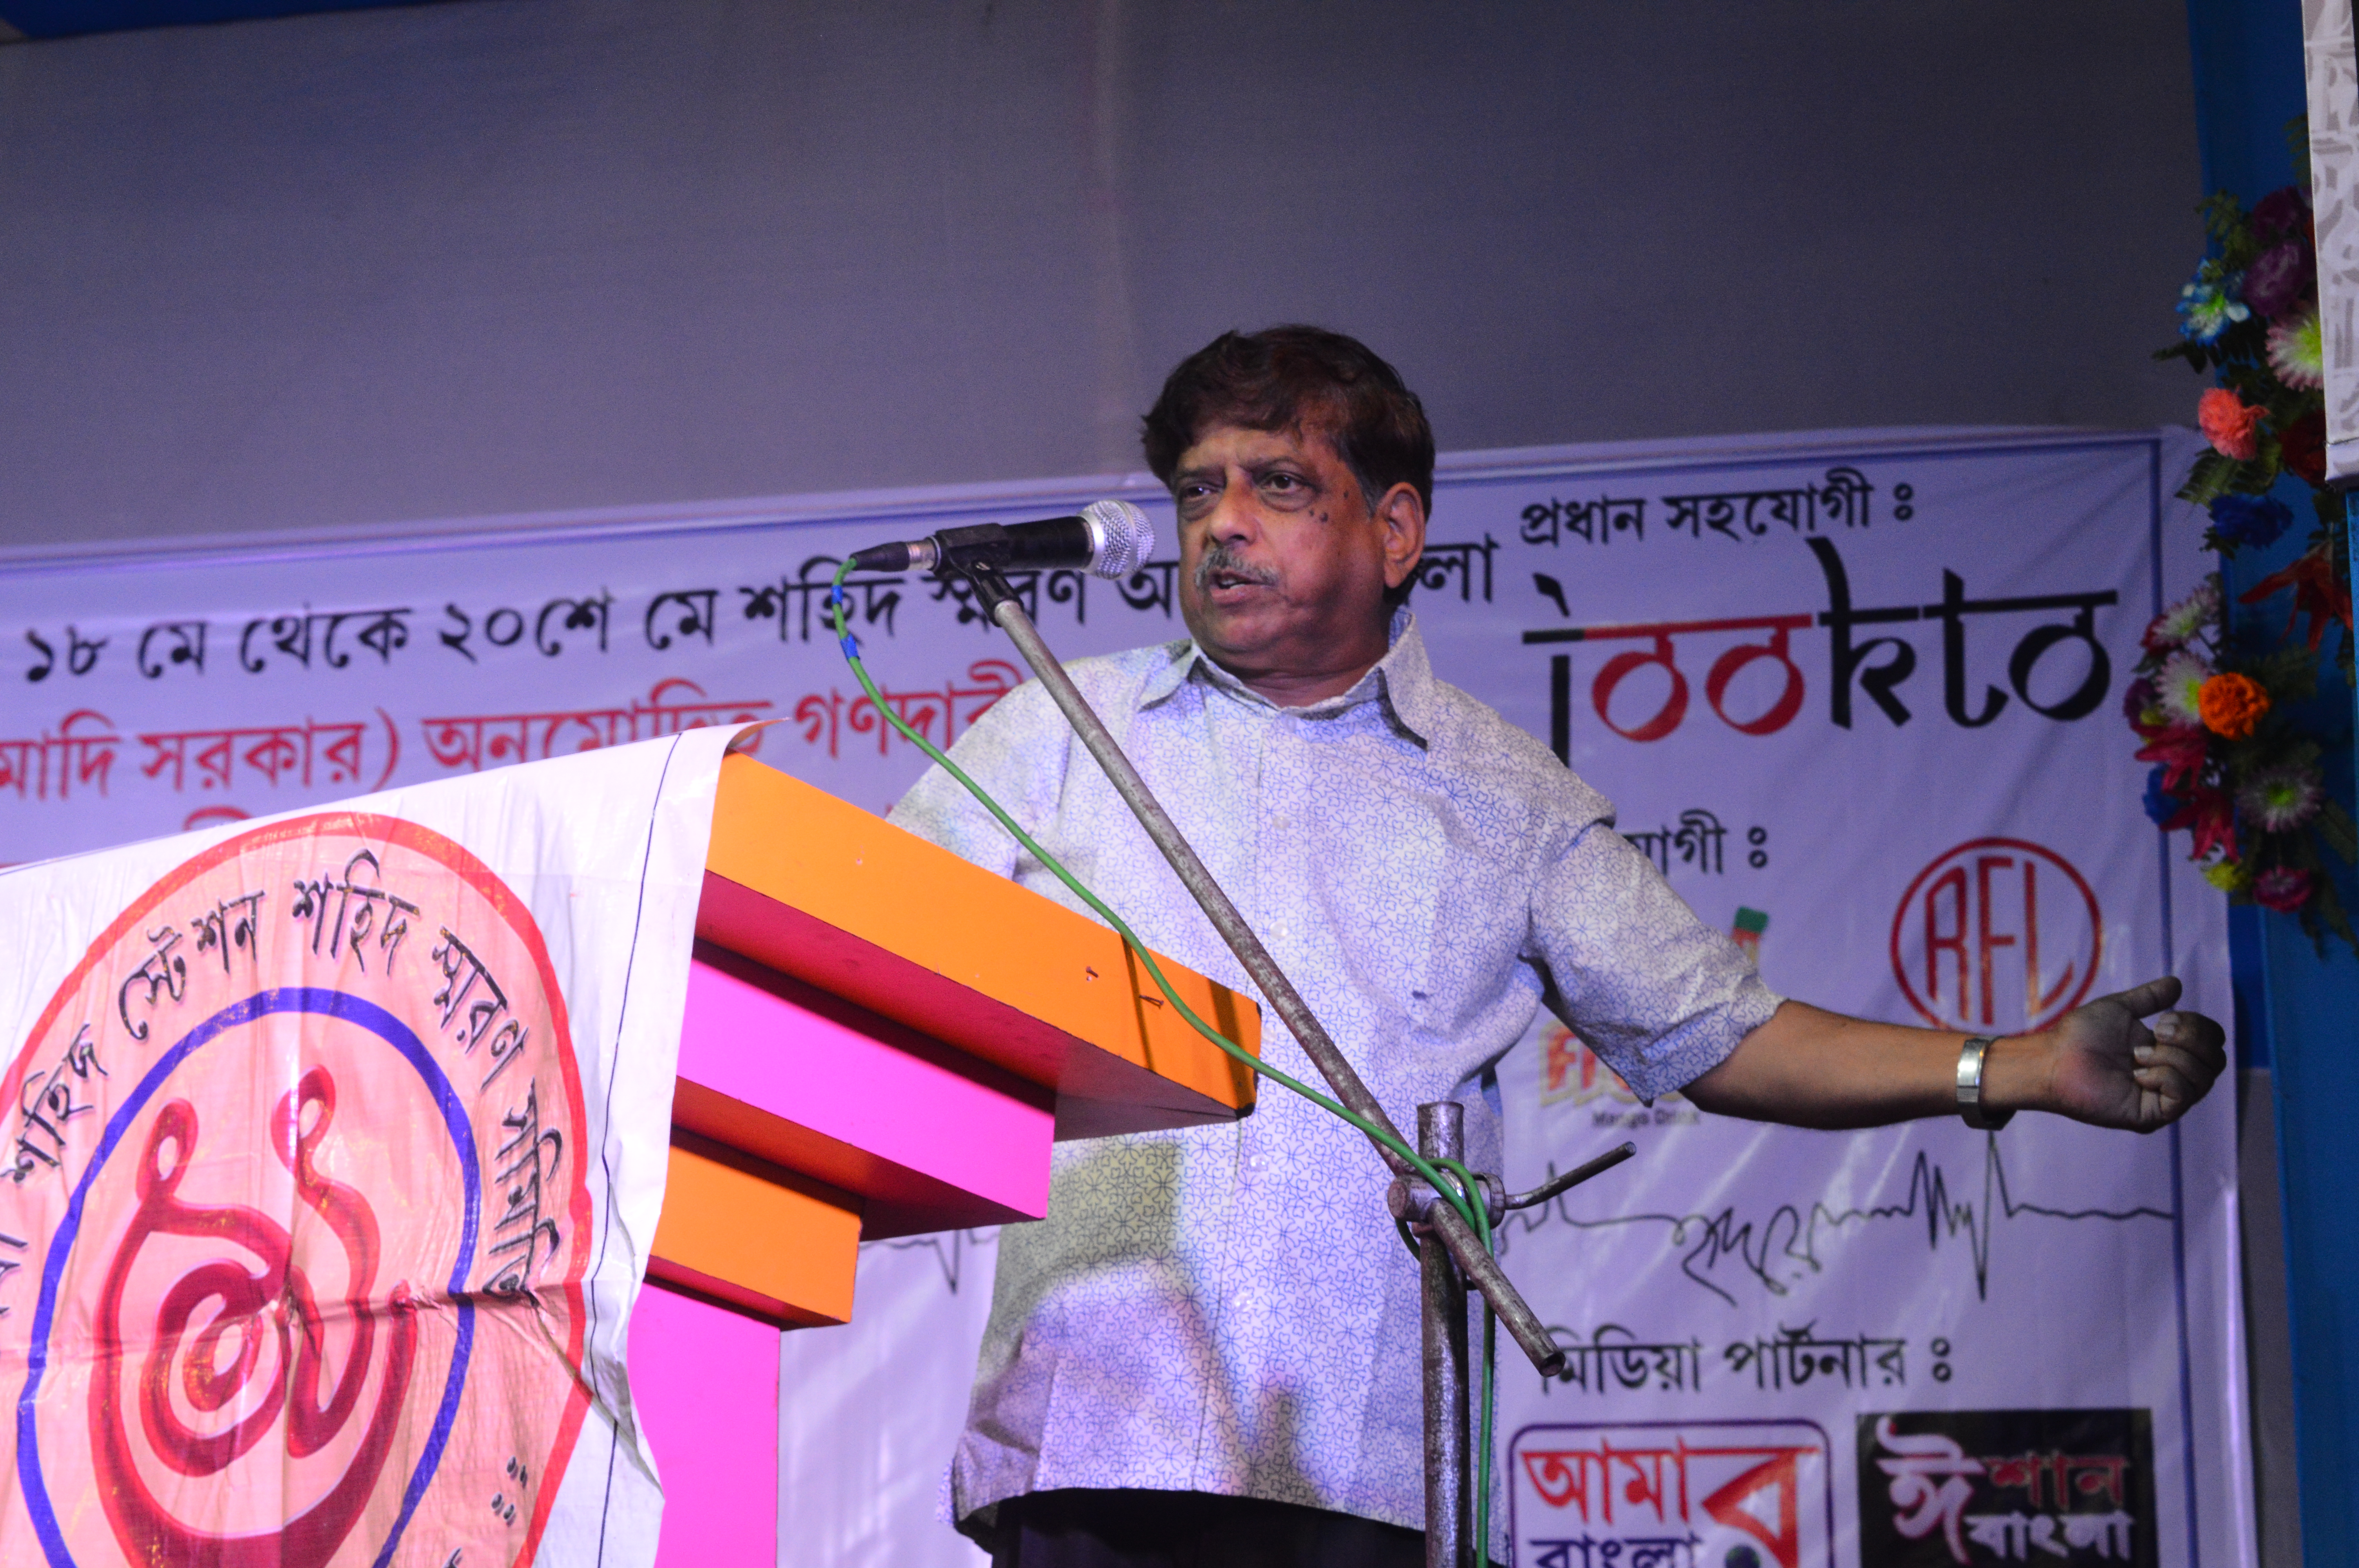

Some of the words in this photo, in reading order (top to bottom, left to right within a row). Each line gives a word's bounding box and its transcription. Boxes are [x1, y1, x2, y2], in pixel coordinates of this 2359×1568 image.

[1514, 486, 1649, 552] প্ৰধান
[1649, 458, 1875, 545] সহযোগী
[13, 605, 213, 682] ১৮মে
[231, 590, 423, 679] থেকে
[432, 584, 617, 658] ২০শে
[632, 575, 720, 656] মে
[736, 552, 910, 654] শহিদ
[1418, 520, 1506, 609] লা
[1527, 575, 2113, 769] jookto
[0, 703, 126, 814] মাদি
[135, 716, 375, 799] সরকার
[415, 709, 541, 778] অন
[796, 684, 952, 763] গণদ
[285, 837, 424, 983] শহিদ
[109, 881, 266, 1047] স্টেশন
[423, 923, 532, 1095] স্মরণ
[2, 1013, 110, 1191] শহিদ
[478, 1081, 569, 1314] সমিতি
[1529, 1317, 1709, 1401] মিডিয়া
[1718, 1317, 1910, 1395] পার্টনার
[1522, 1429, 1814, 1563] আমাব
[1859, 1409, 2135, 1566] ঈশান
[1961, 1504, 2140, 1564] বাংলা